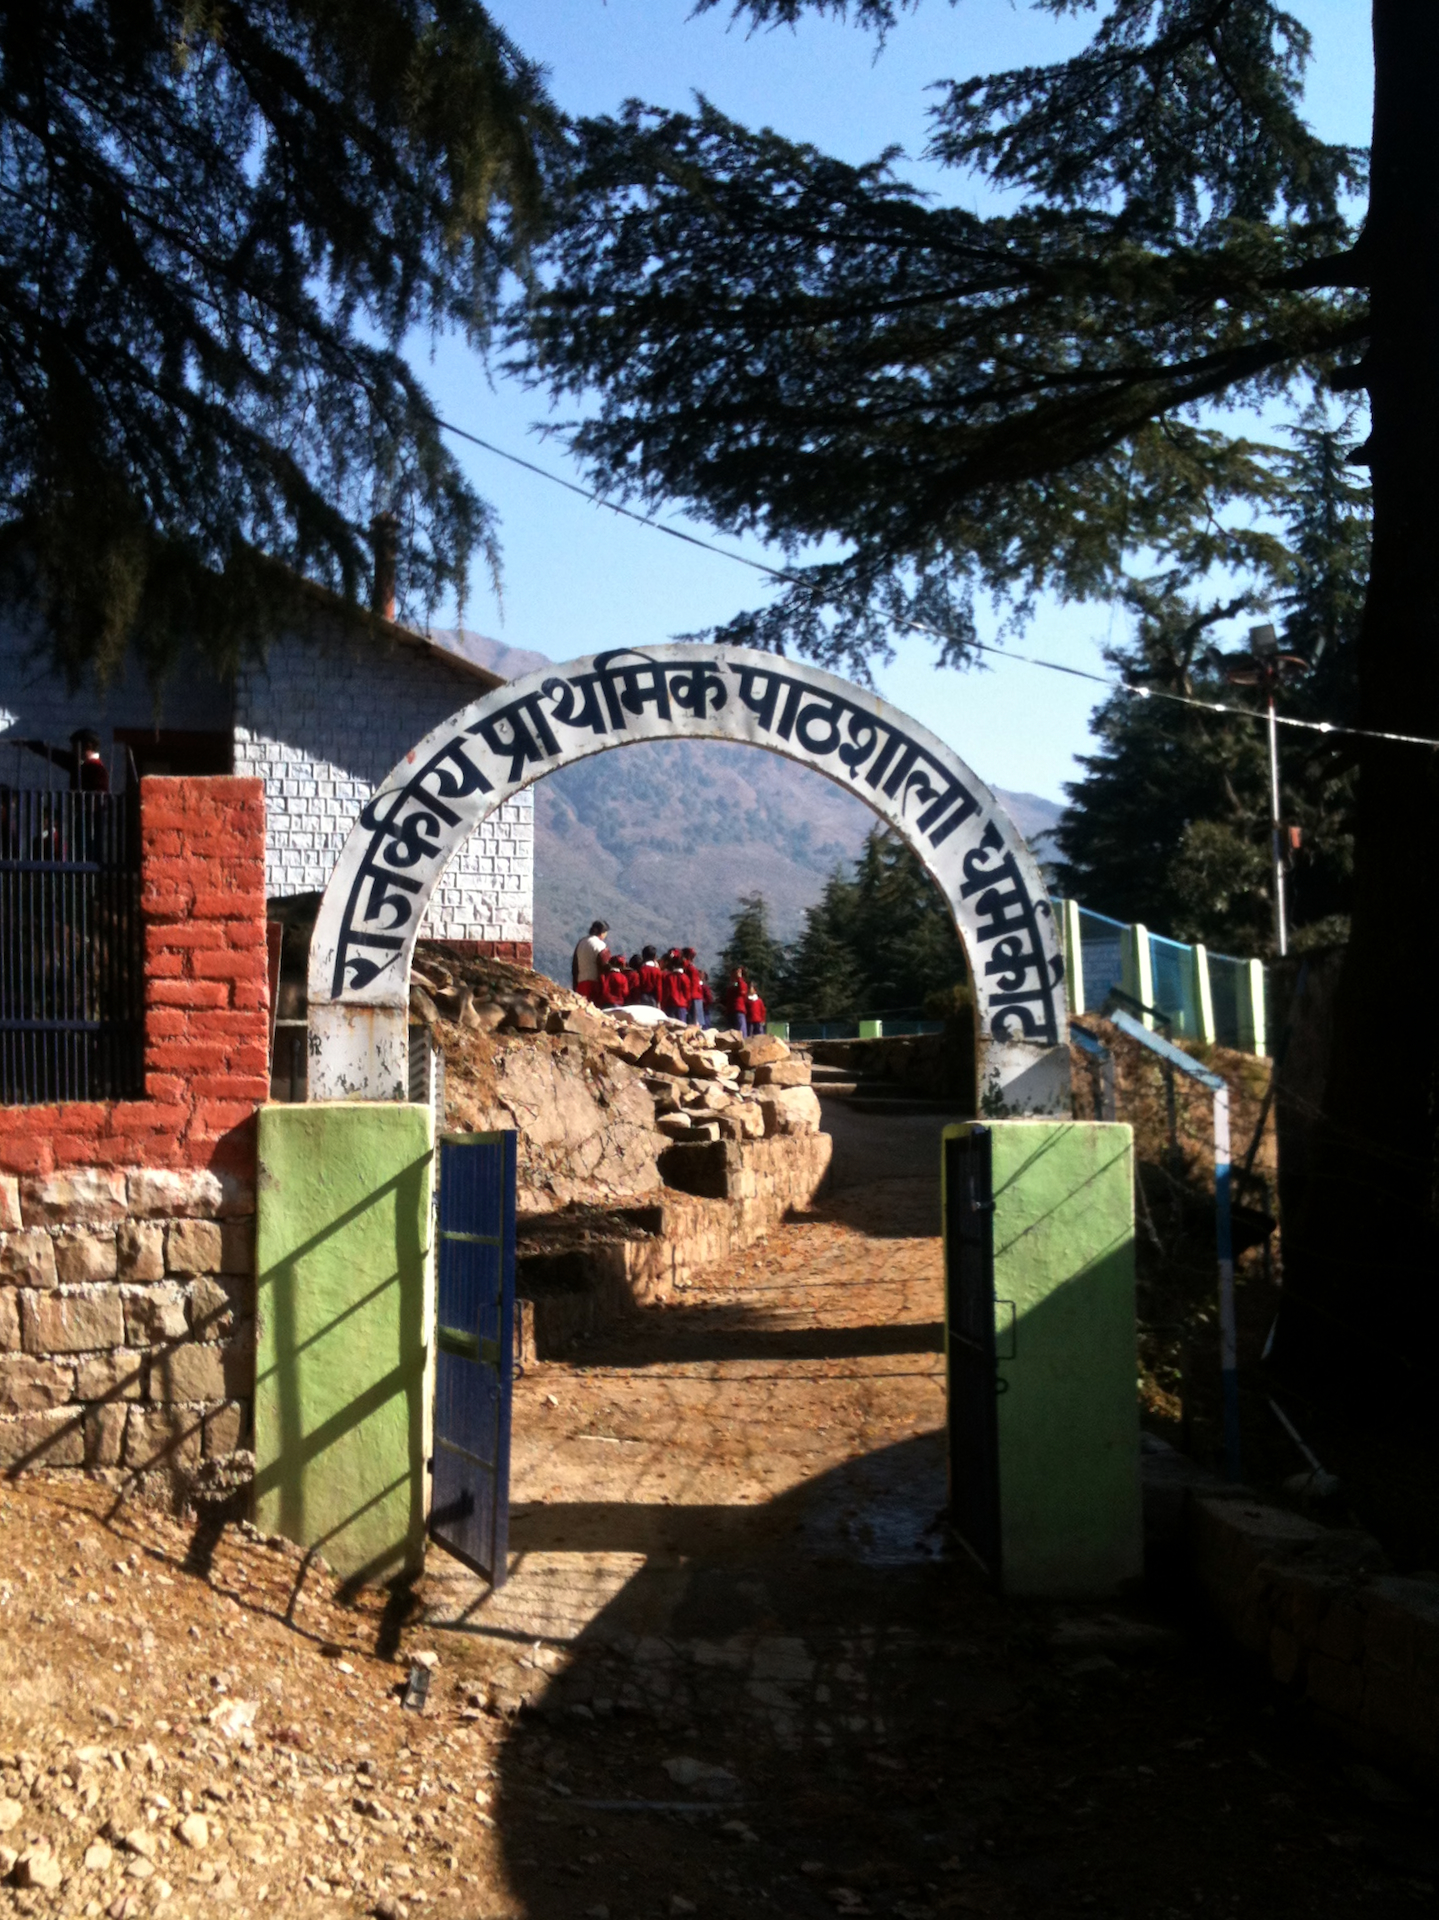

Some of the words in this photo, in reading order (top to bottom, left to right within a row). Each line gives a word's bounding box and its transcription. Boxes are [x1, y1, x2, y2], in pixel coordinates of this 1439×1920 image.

[330, 733, 498, 1001] राजकीय
[464, 646, 731, 785] प्राथमिक
[730, 659, 985, 851] पाठशाला
[952, 817, 1066, 1050] धर्मकोट